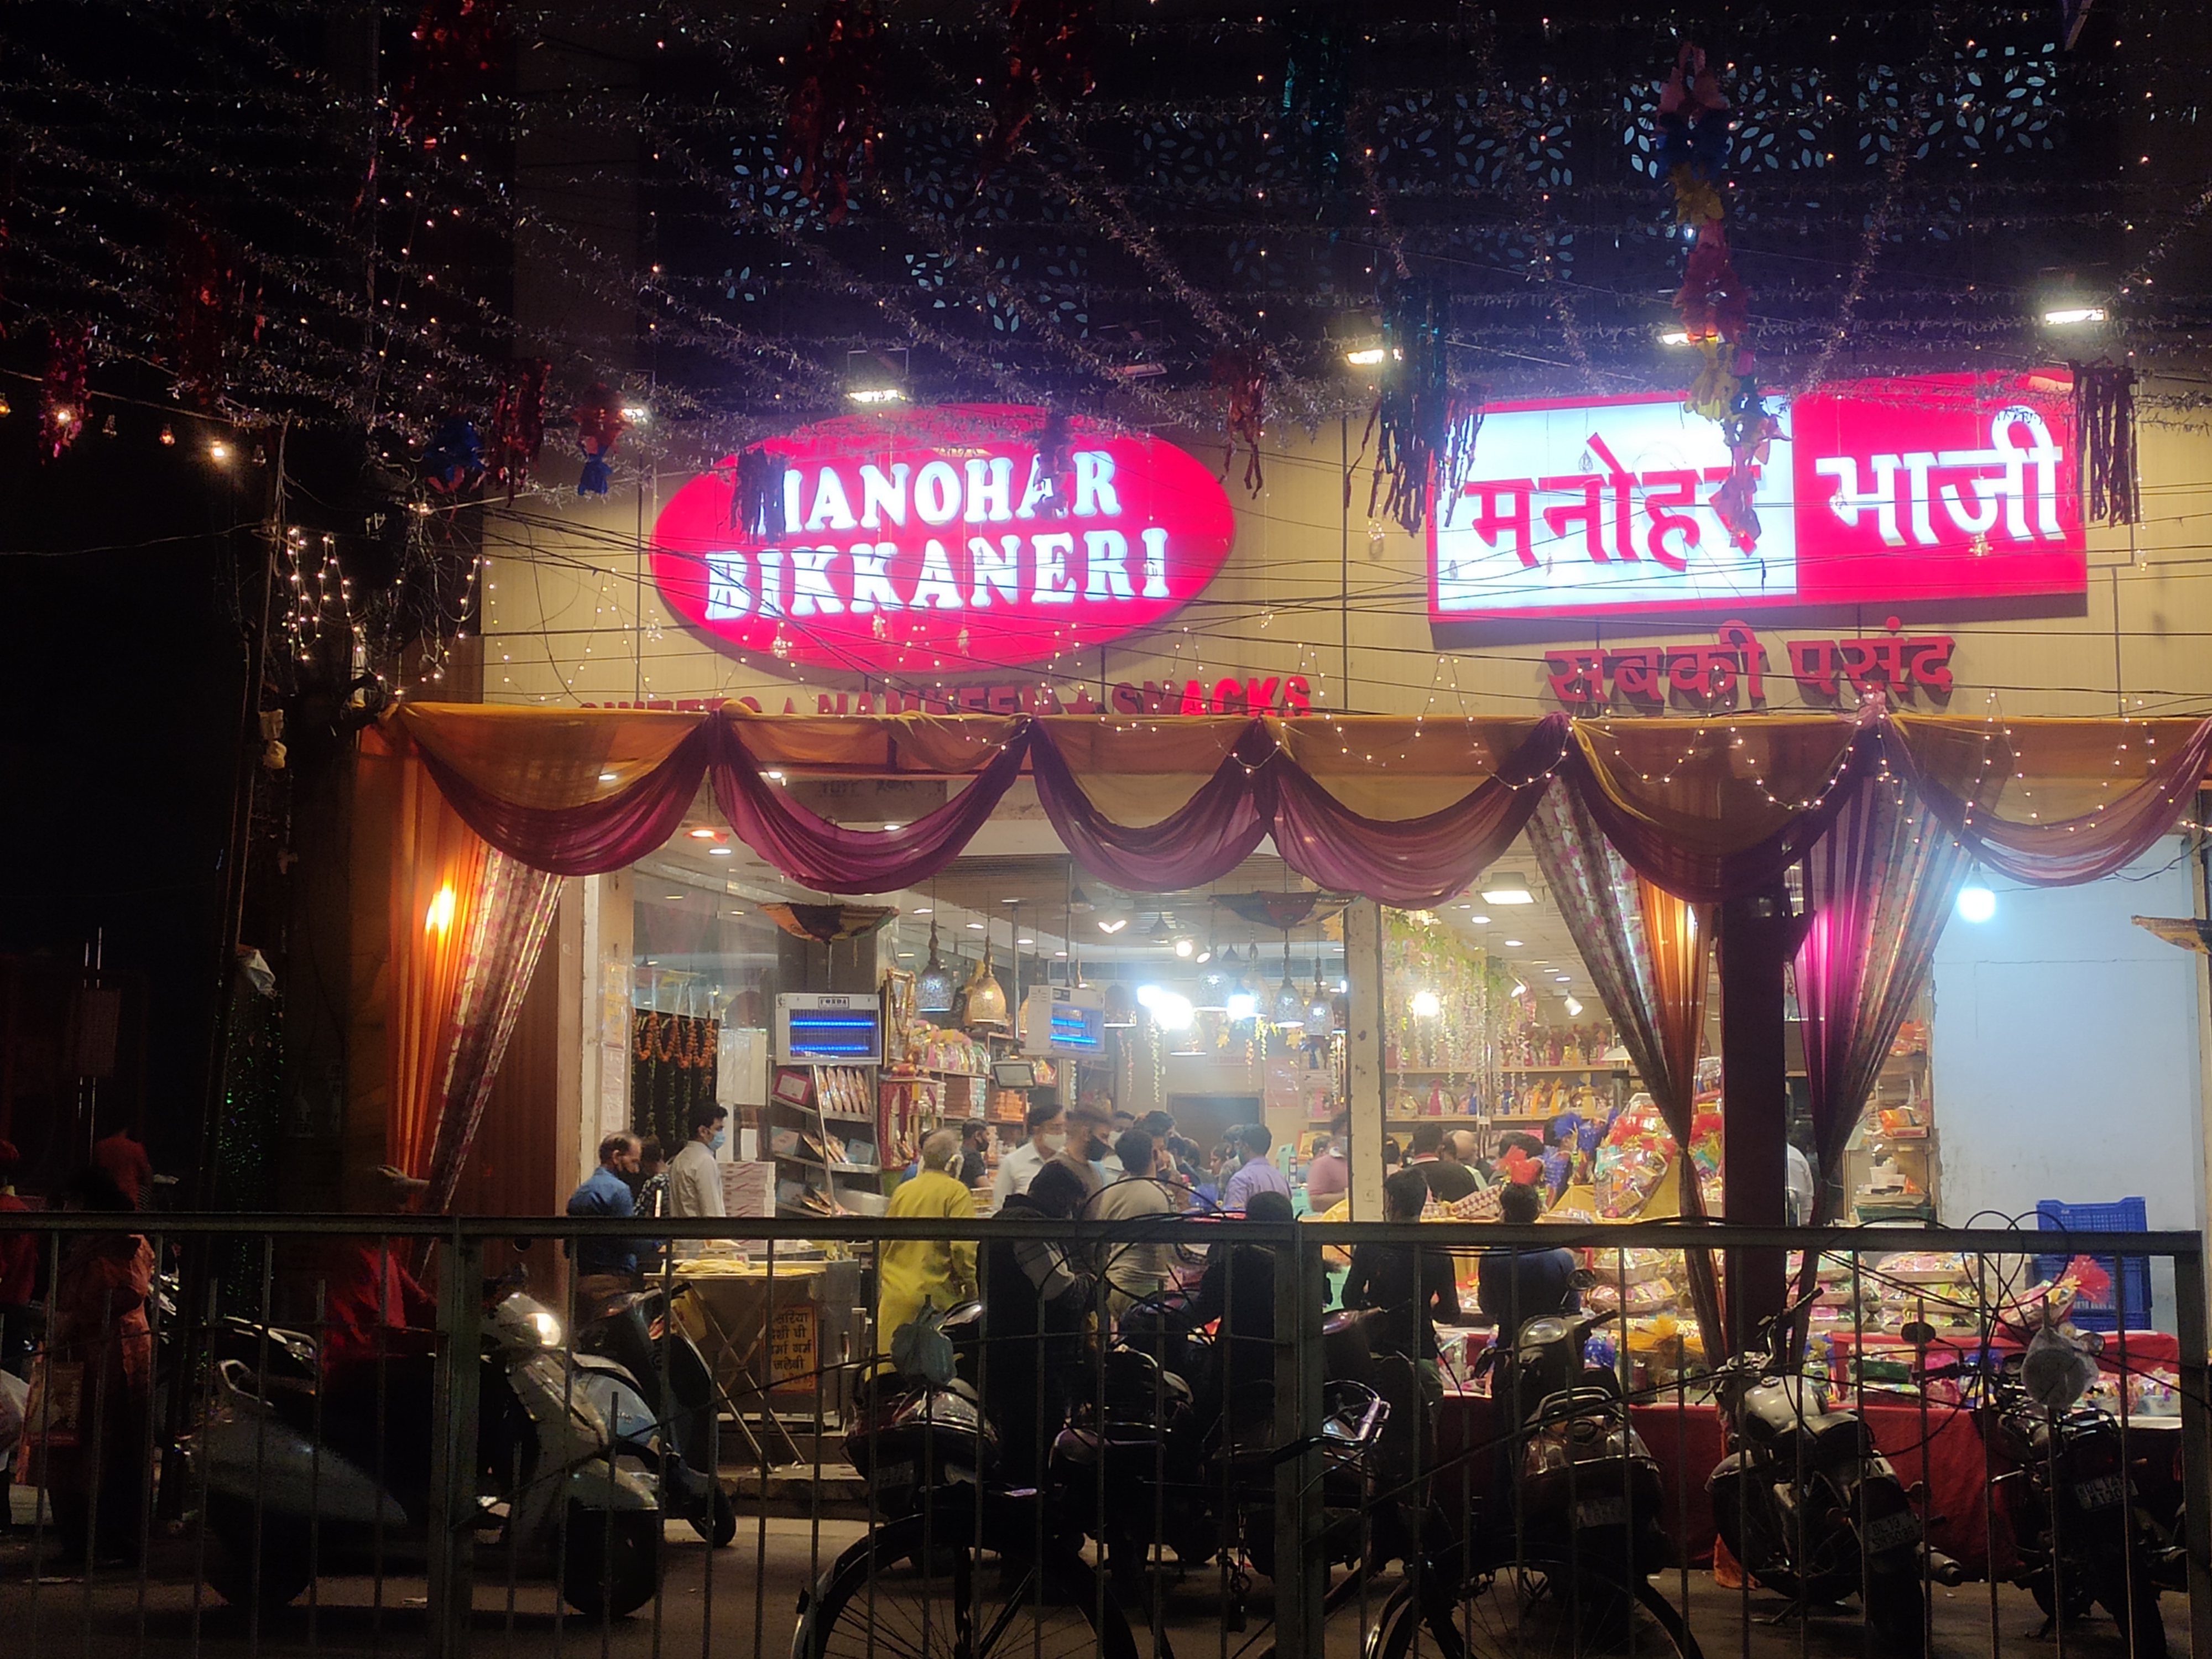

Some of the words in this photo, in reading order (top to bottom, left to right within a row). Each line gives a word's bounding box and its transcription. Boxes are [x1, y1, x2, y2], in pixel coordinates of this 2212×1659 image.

[776, 447, 1120, 535] IANOHAR
[1462, 428, 1761, 575] मनोहर
[1815, 403, 2068, 550] भाजी
[703, 528, 1171, 619] BIKKANERI
[1540, 614, 1767, 703] सबकी
[1785, 613, 1957, 697] पसंद